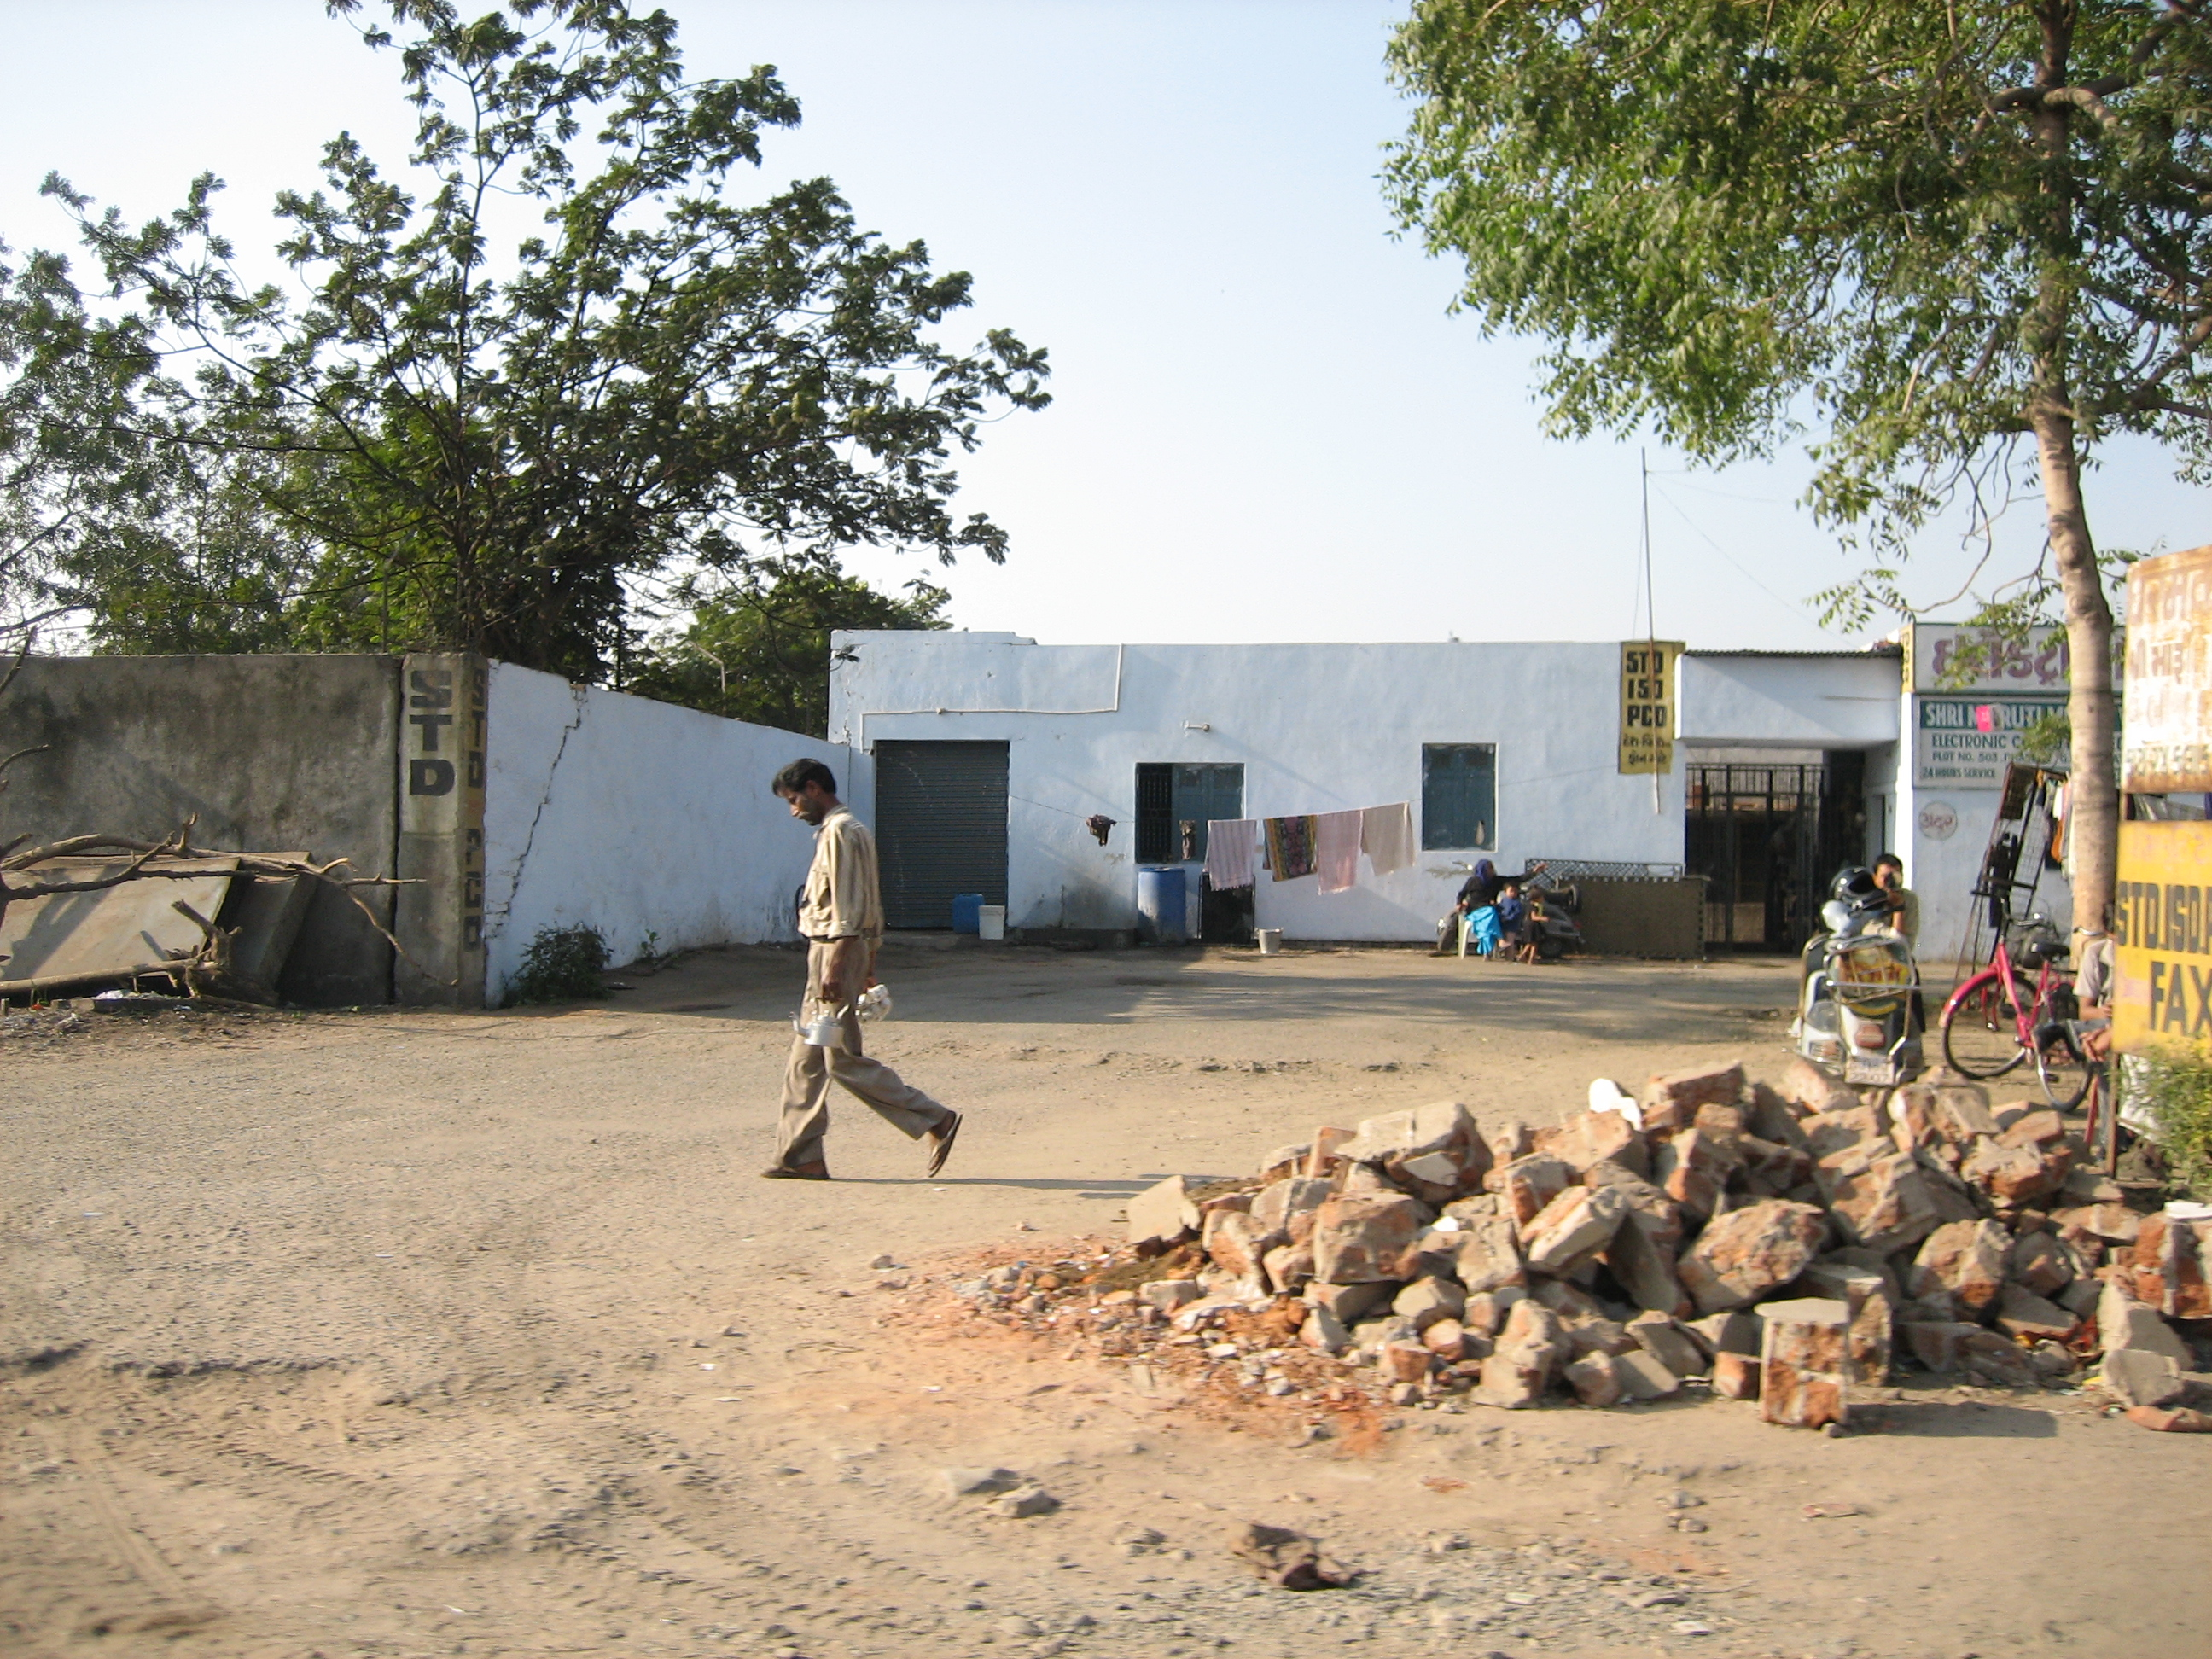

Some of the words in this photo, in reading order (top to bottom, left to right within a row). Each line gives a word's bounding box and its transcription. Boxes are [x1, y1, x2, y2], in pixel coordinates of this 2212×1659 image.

[2143, 956, 2209, 1039] FAX